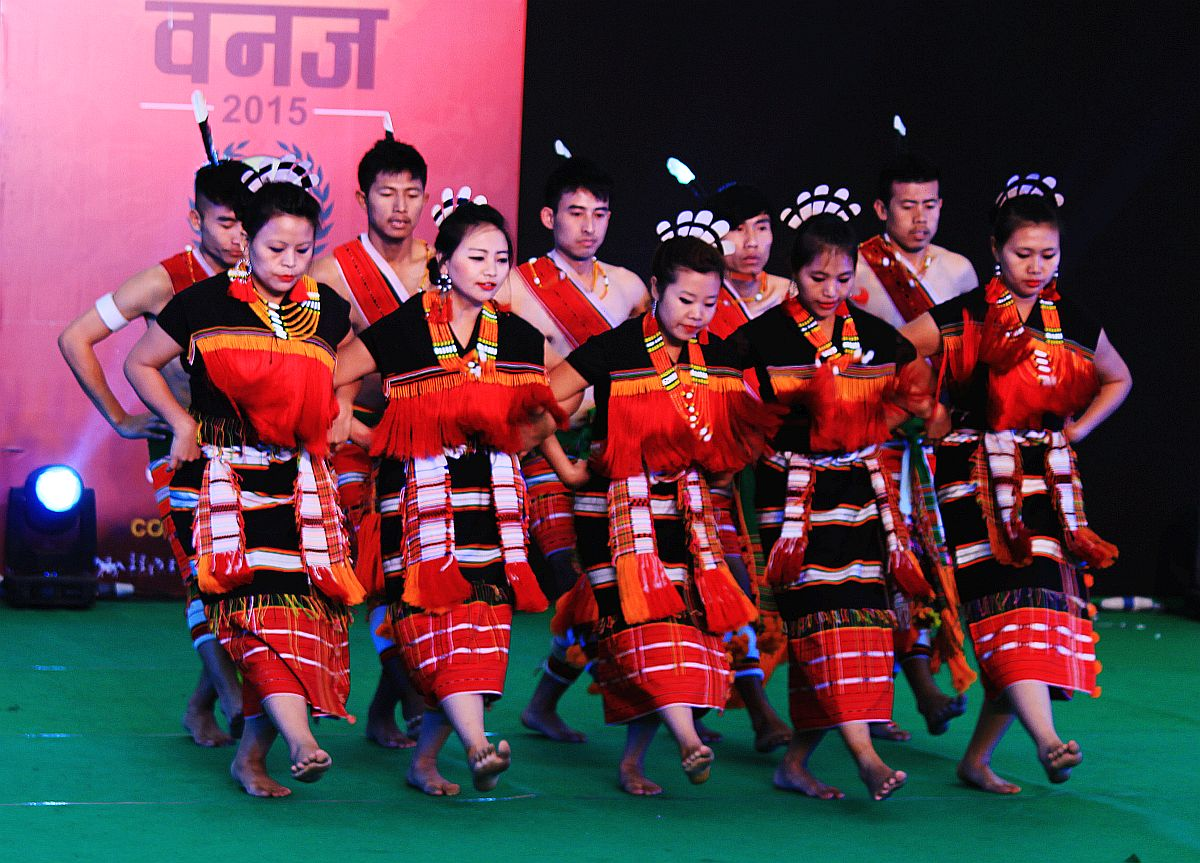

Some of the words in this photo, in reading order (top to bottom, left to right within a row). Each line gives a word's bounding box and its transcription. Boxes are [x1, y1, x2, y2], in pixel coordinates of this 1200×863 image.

[143, 0, 393, 91] वनज
[221, 95, 310, 127] 2015